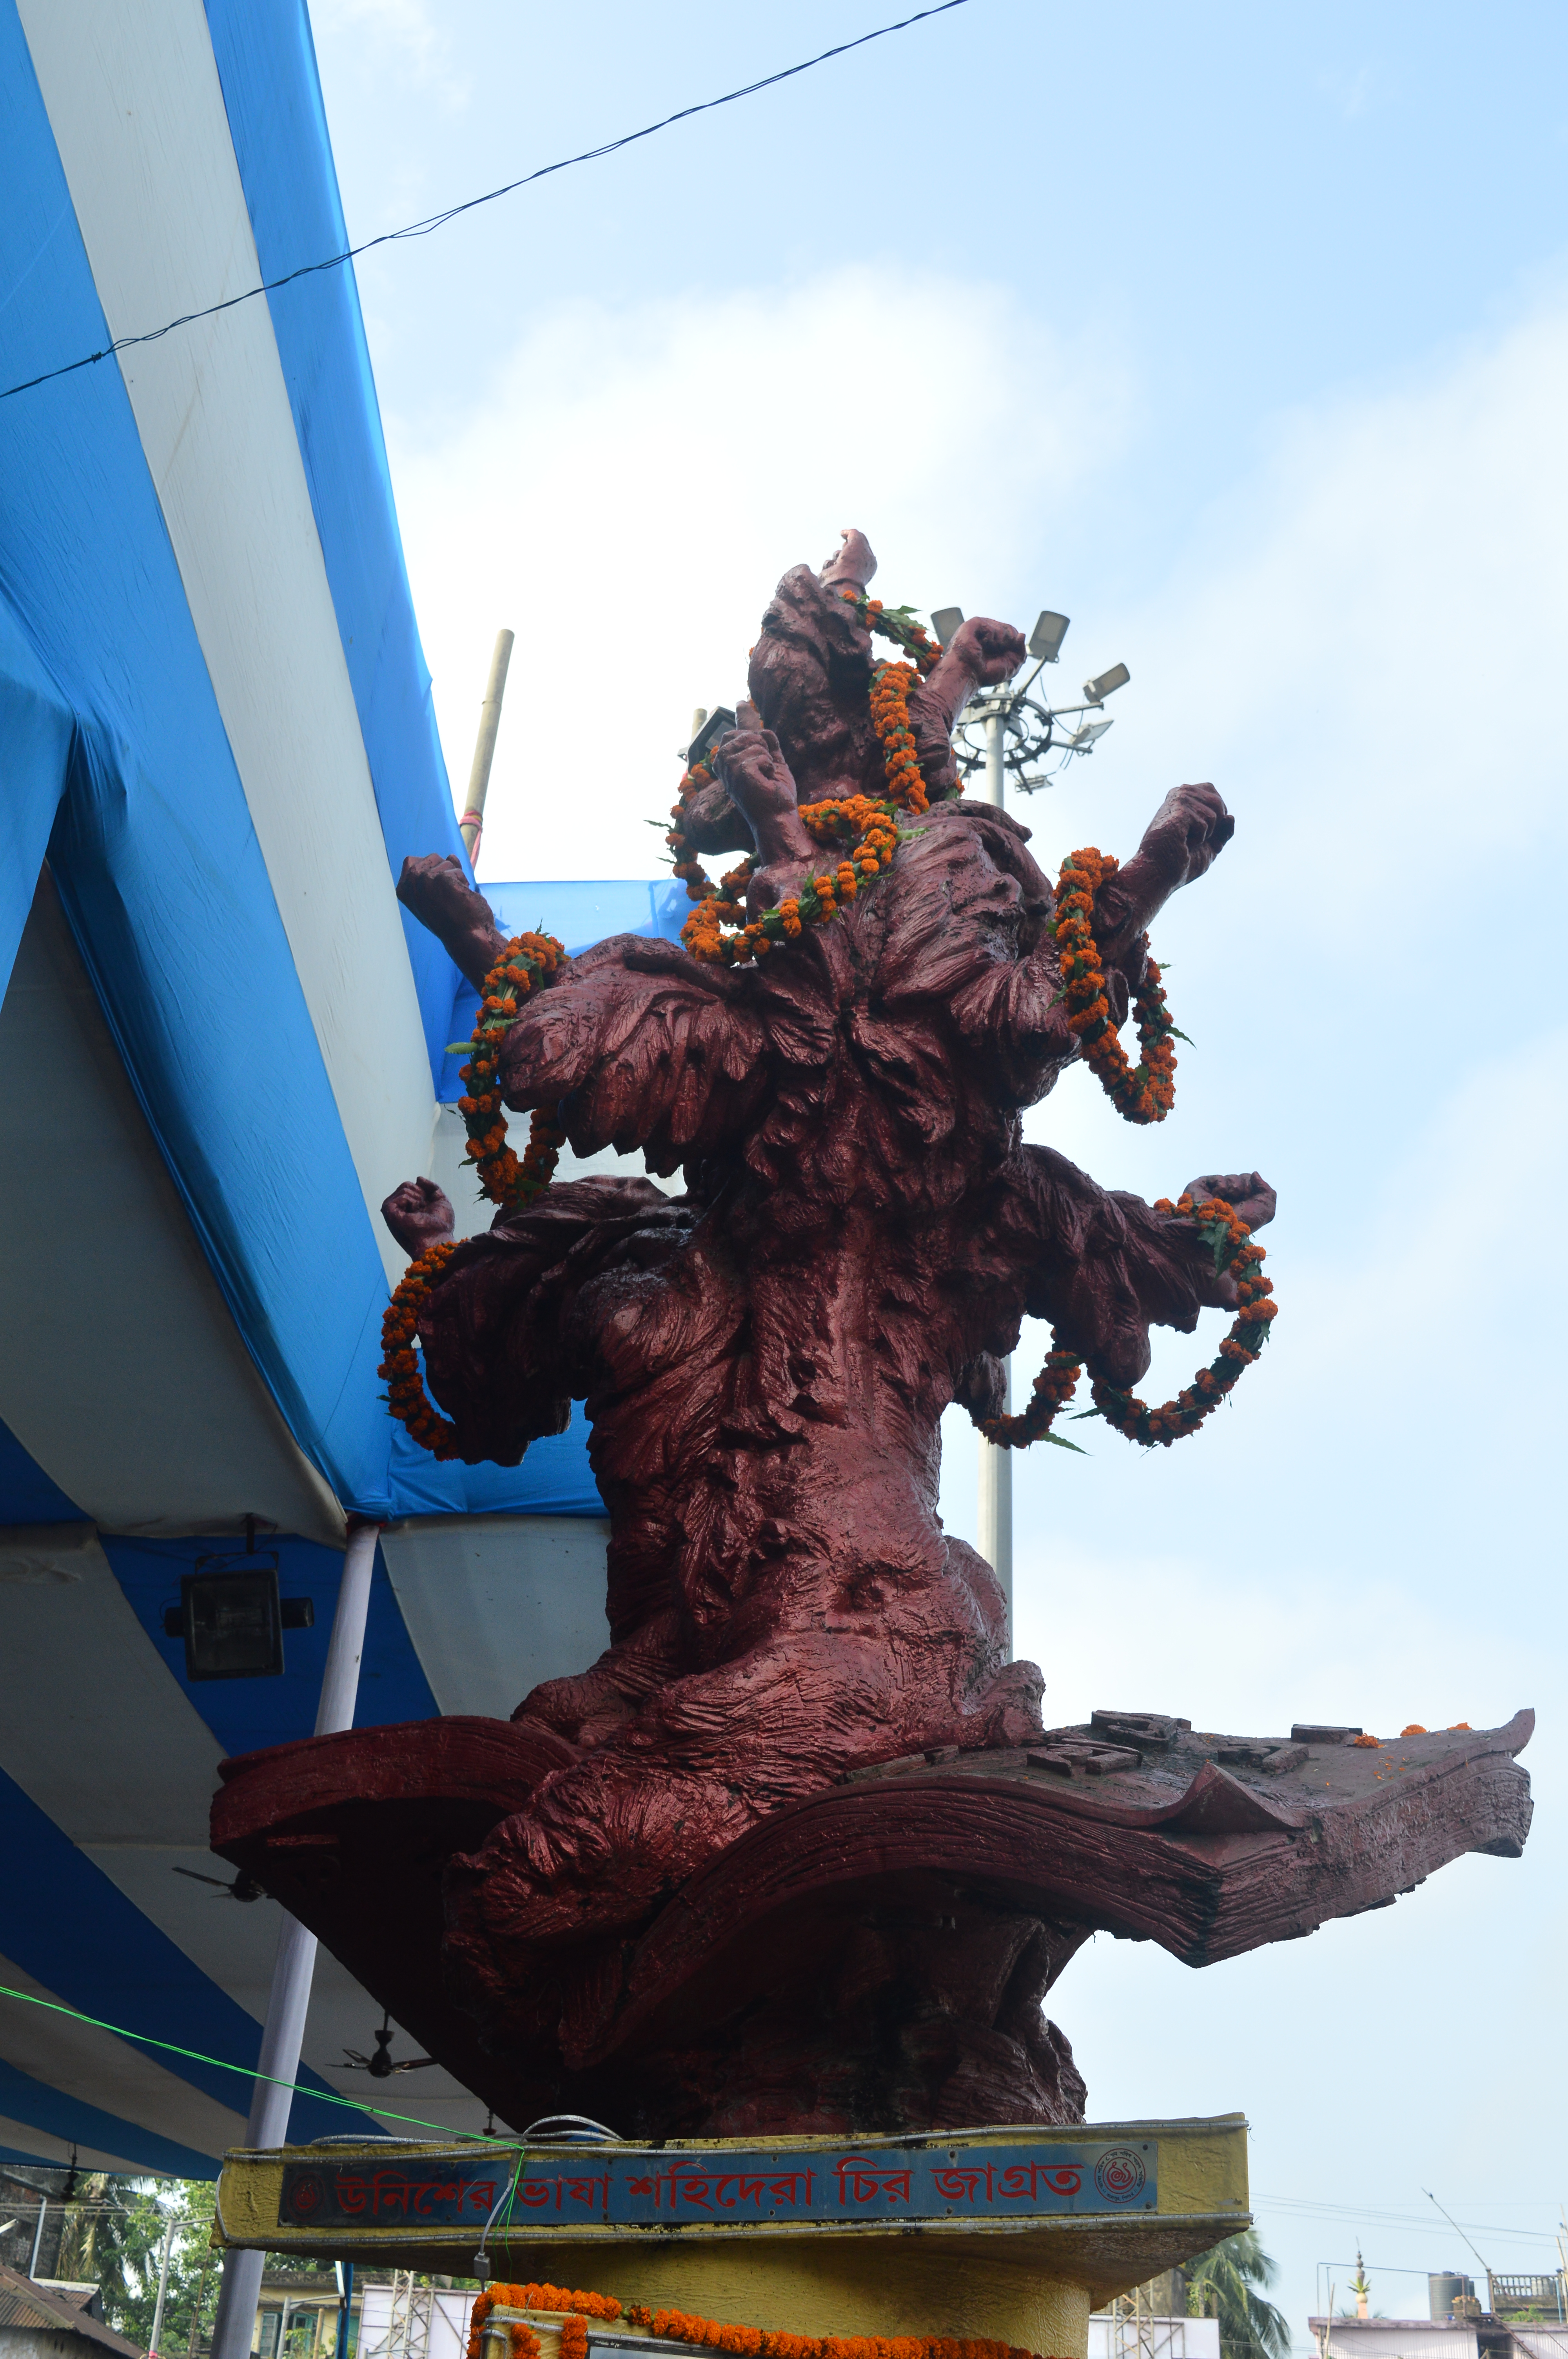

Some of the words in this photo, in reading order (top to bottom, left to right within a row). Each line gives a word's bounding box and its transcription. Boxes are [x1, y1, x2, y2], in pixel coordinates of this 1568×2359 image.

[331, 2162, 499, 2223] উনিশের
[513, 2168, 614, 2217] ভাষা
[623, 2156, 818, 2216] শহিদেরা
[823, 2150, 915, 2208] চির
[924, 2157, 1089, 2208] জাগ্রত